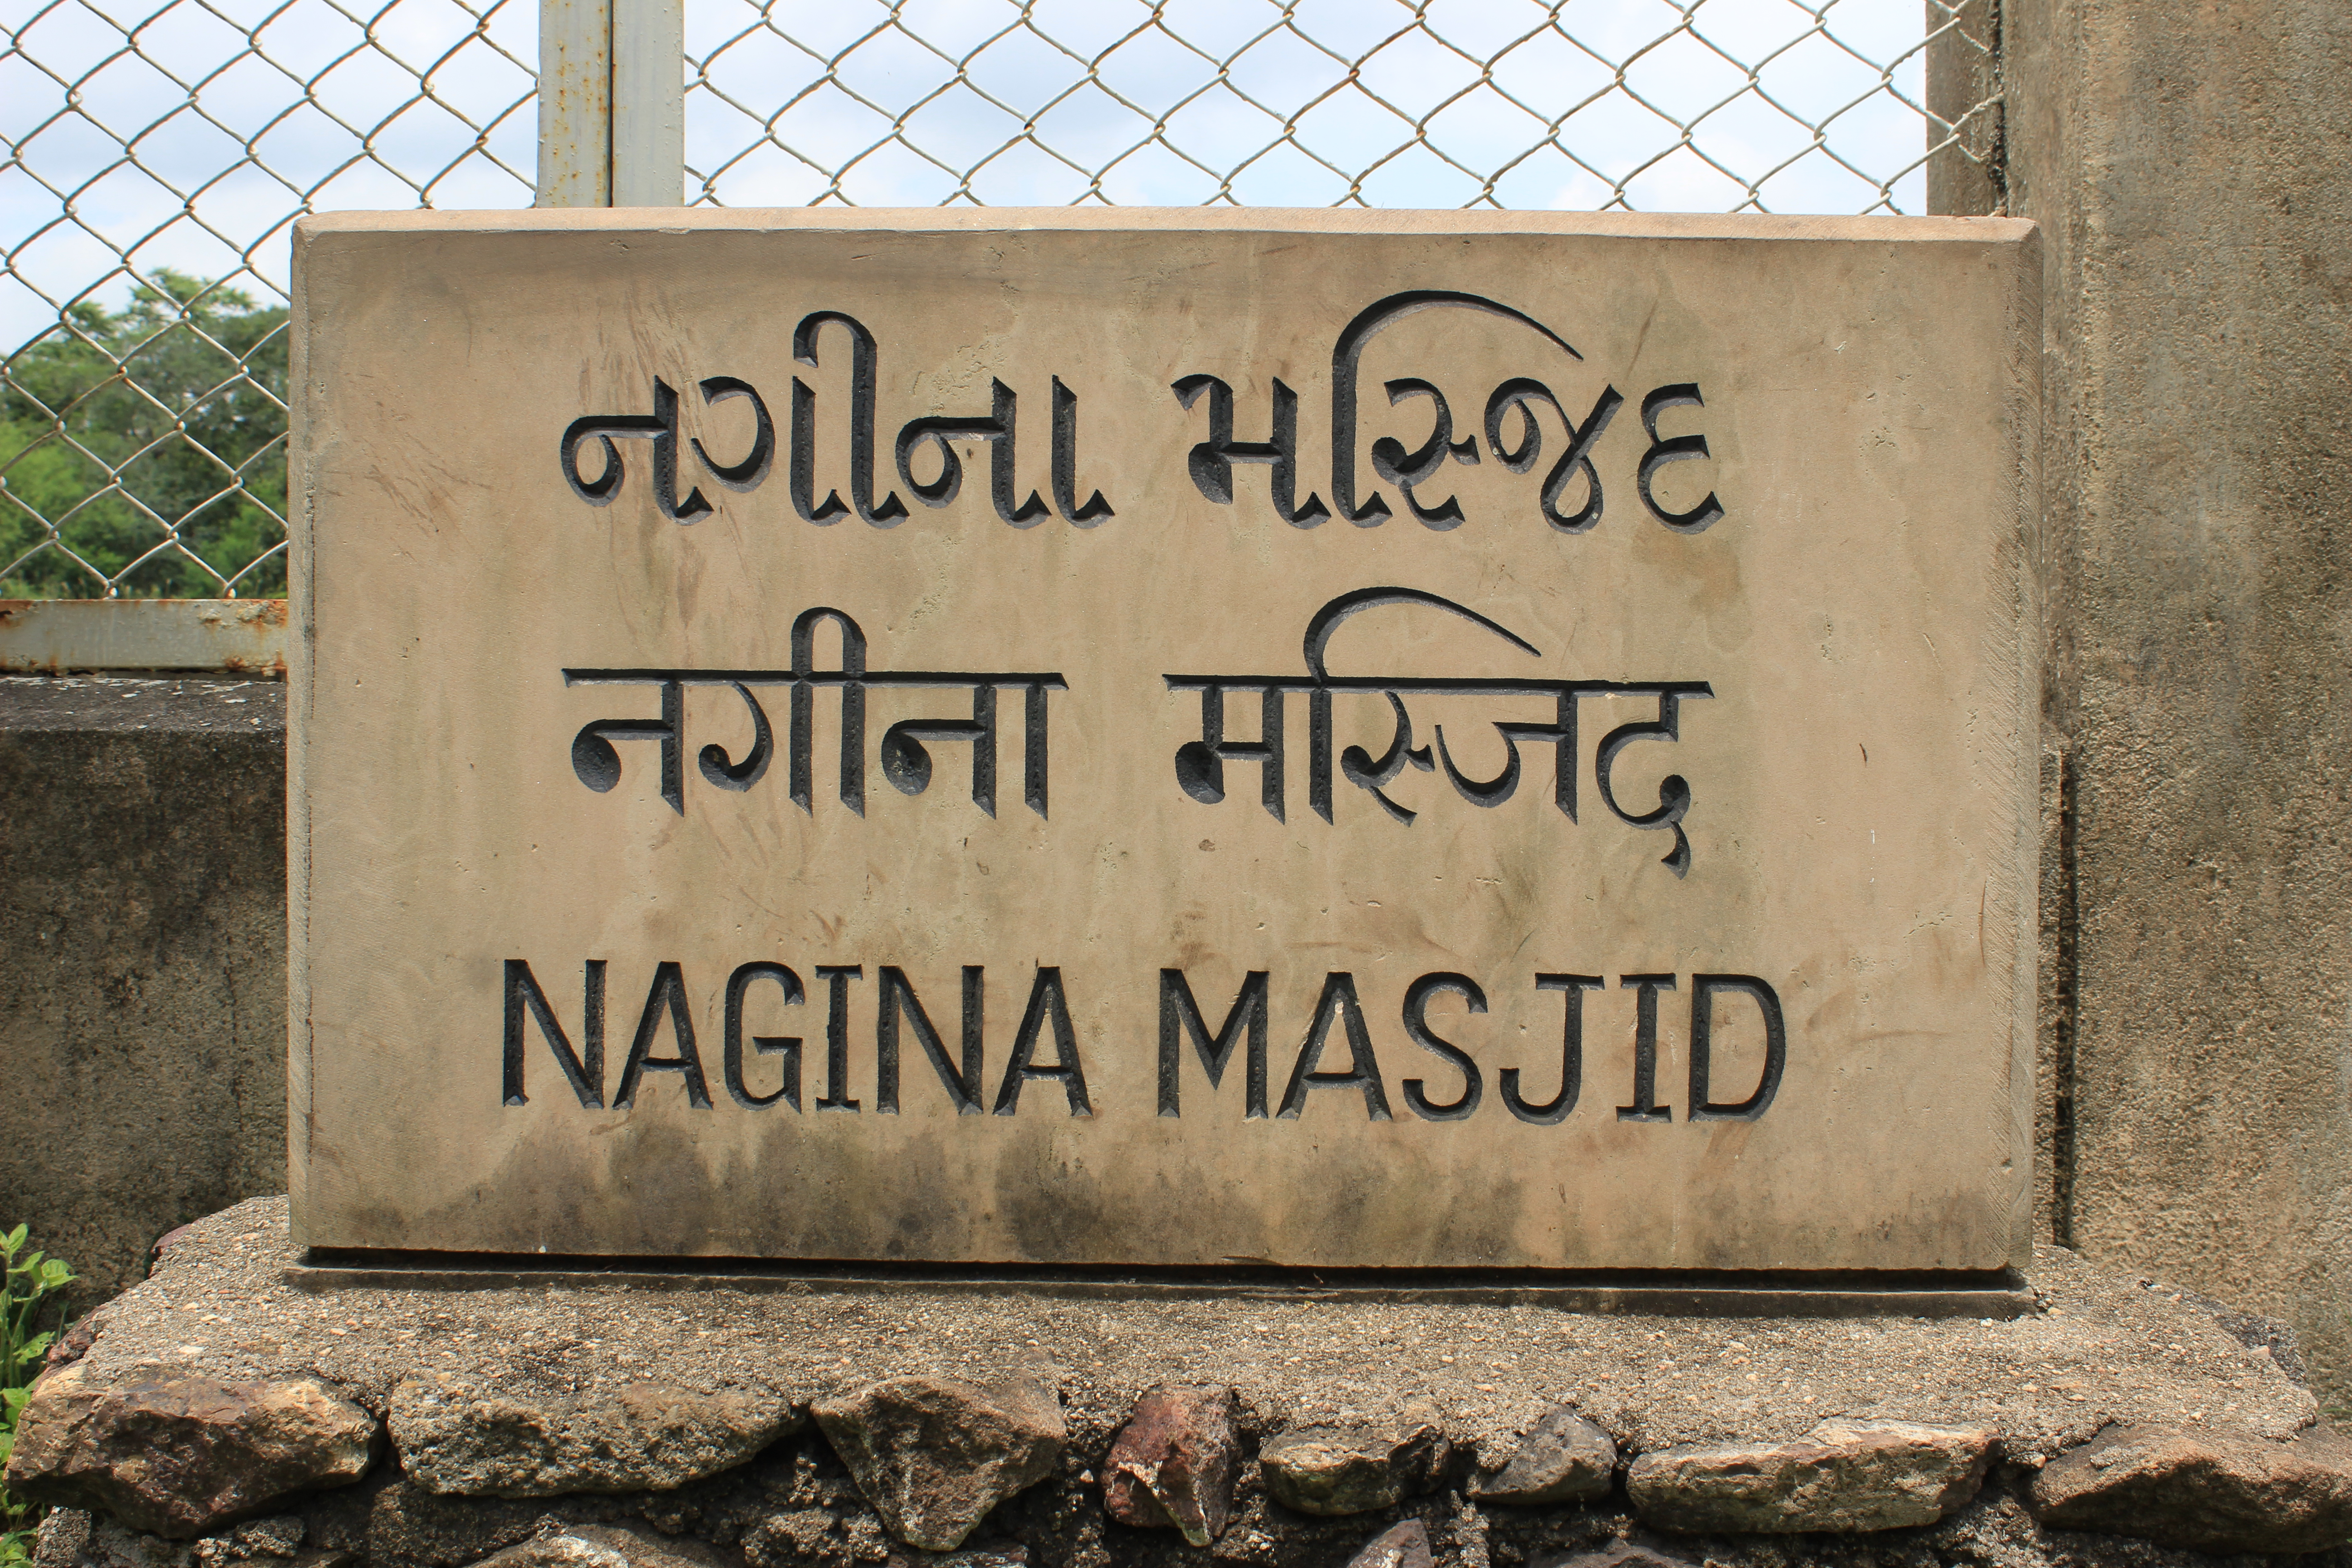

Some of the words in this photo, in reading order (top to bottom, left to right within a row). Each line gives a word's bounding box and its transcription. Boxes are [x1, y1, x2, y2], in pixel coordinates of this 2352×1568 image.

[549, 298, 1129, 546] નગીના
[1157, 279, 1736, 544] મસ્જિદ
[542, 599, 1080, 848] नगीना
[1143, 578, 1728, 894] मस्जिद
[485, 950, 1100, 1129] NAGINA
[1142, 963, 1789, 1136] MASJID